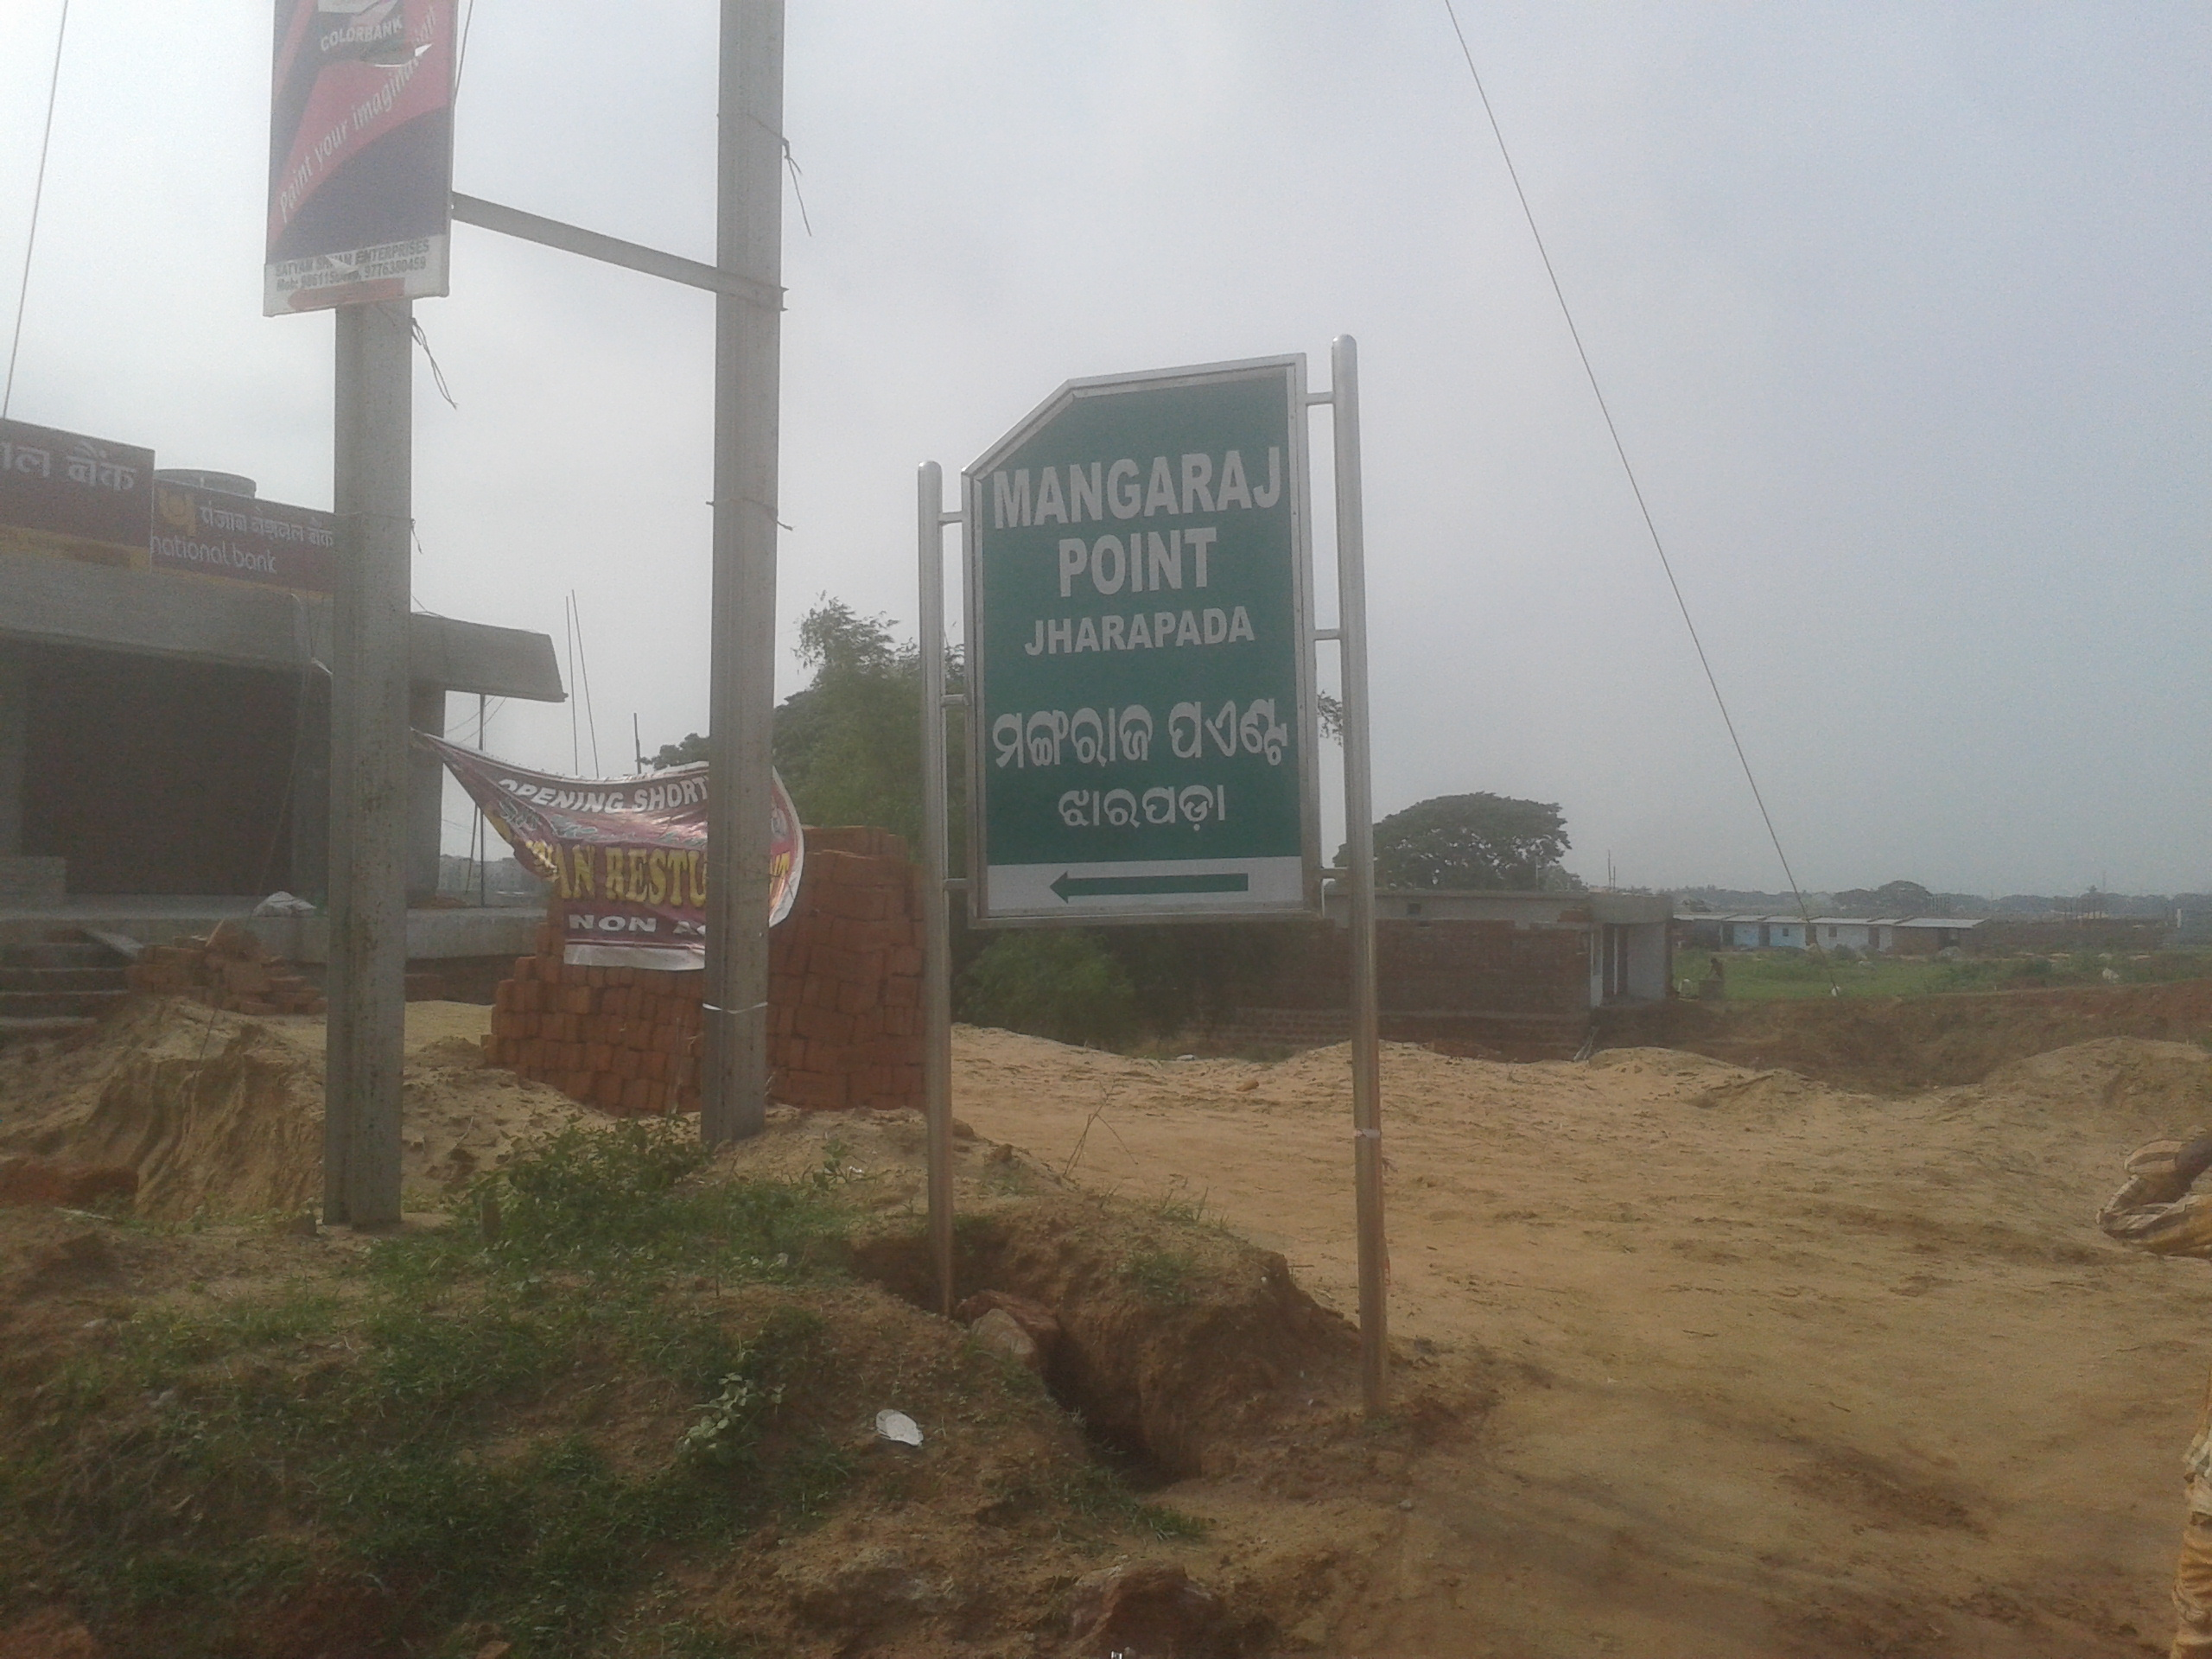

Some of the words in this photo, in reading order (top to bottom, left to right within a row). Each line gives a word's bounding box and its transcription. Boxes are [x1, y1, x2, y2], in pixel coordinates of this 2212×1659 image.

[60, 429, 141, 498] बैंक
[146, 531, 232, 567] national
[194, 495, 250, 537] पंजाब
[230, 540, 279, 578] bank
[241, 501, 307, 545] नैशनल
[300, 512, 338, 549] बैंक
[1053, 521, 1219, 603] POINT
[987, 441, 1290, 536] MANGARAJ
[1018, 600, 1262, 664] JHARAPADA
[983, 692, 1157, 780] ମଙ୍ଗରାଜ
[1160, 688, 1300, 769] ପଏଣ୍ଟ
[486, 771, 630, 819] OPENING
[625, 772, 715, 816] SHORT
[1052, 778, 1230, 839] ଝାରପଡ଼ା
[599, 842, 717, 909] RESTU
[564, 911, 660, 937] NON